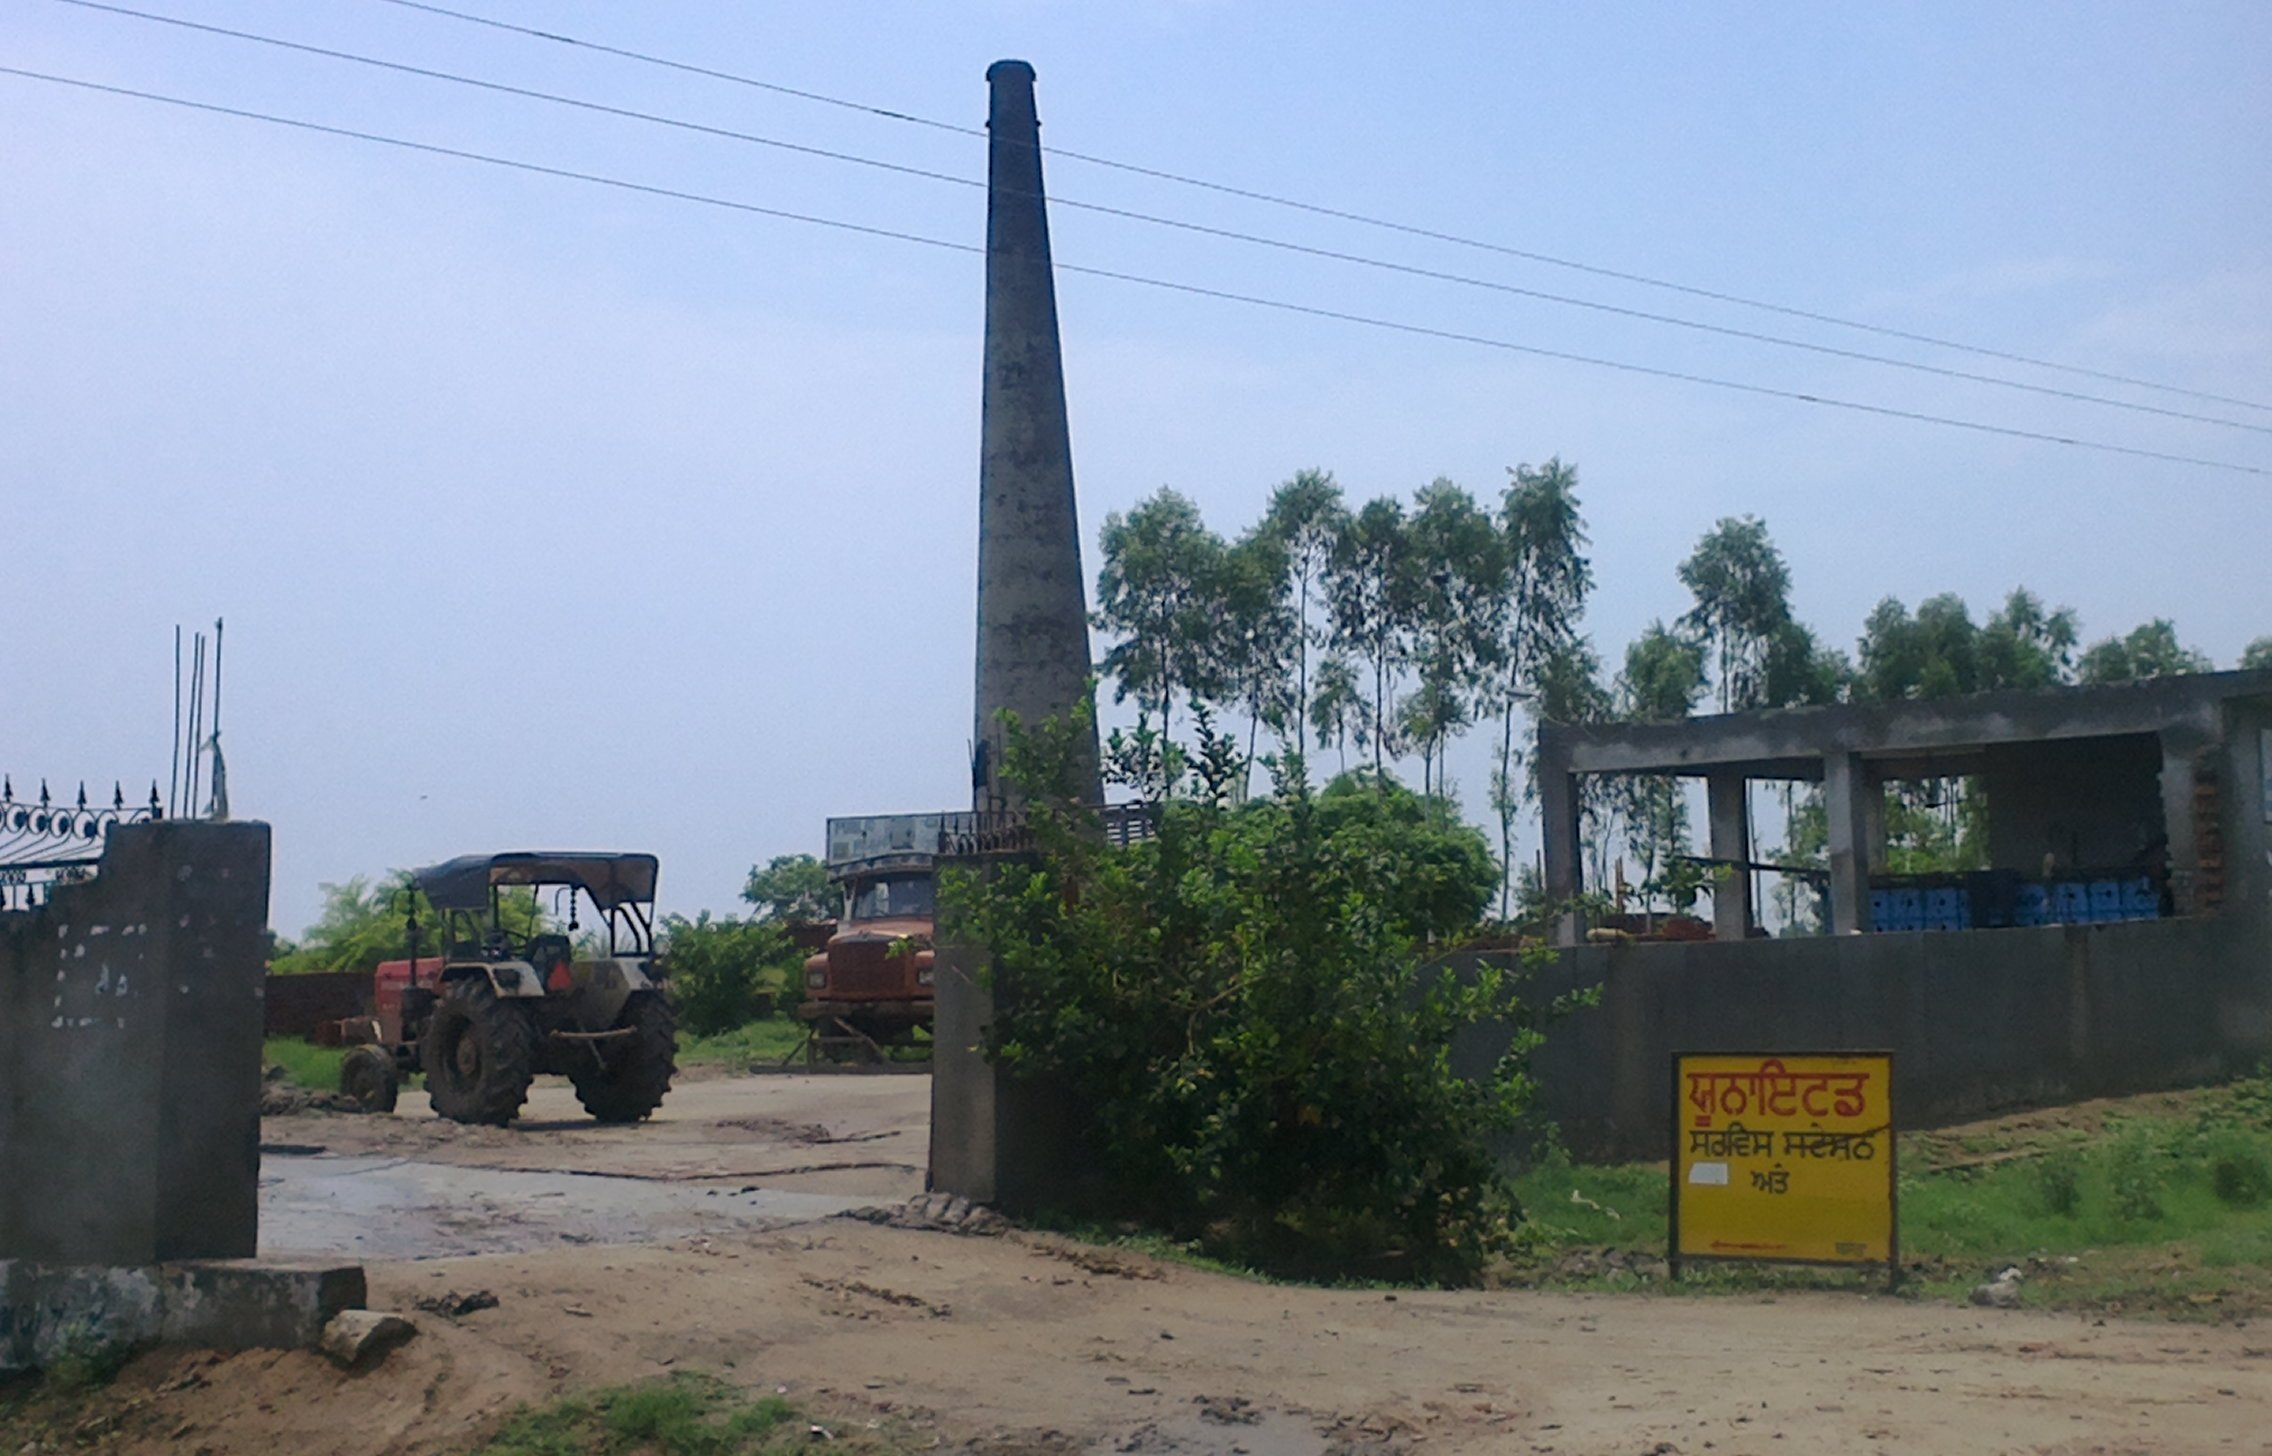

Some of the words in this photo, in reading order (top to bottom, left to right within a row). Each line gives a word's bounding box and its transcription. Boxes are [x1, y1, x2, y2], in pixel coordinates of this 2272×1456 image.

[1681, 1055, 1881, 1129] ਯੂਨਾਇਟਡ
[1685, 1117, 1779, 1163] ਸਰਵਿਸ
[1777, 1118, 1882, 1165] ਸਟੇਸ਼ਨ
[1743, 1157, 1797, 1200] ਅਤੇ